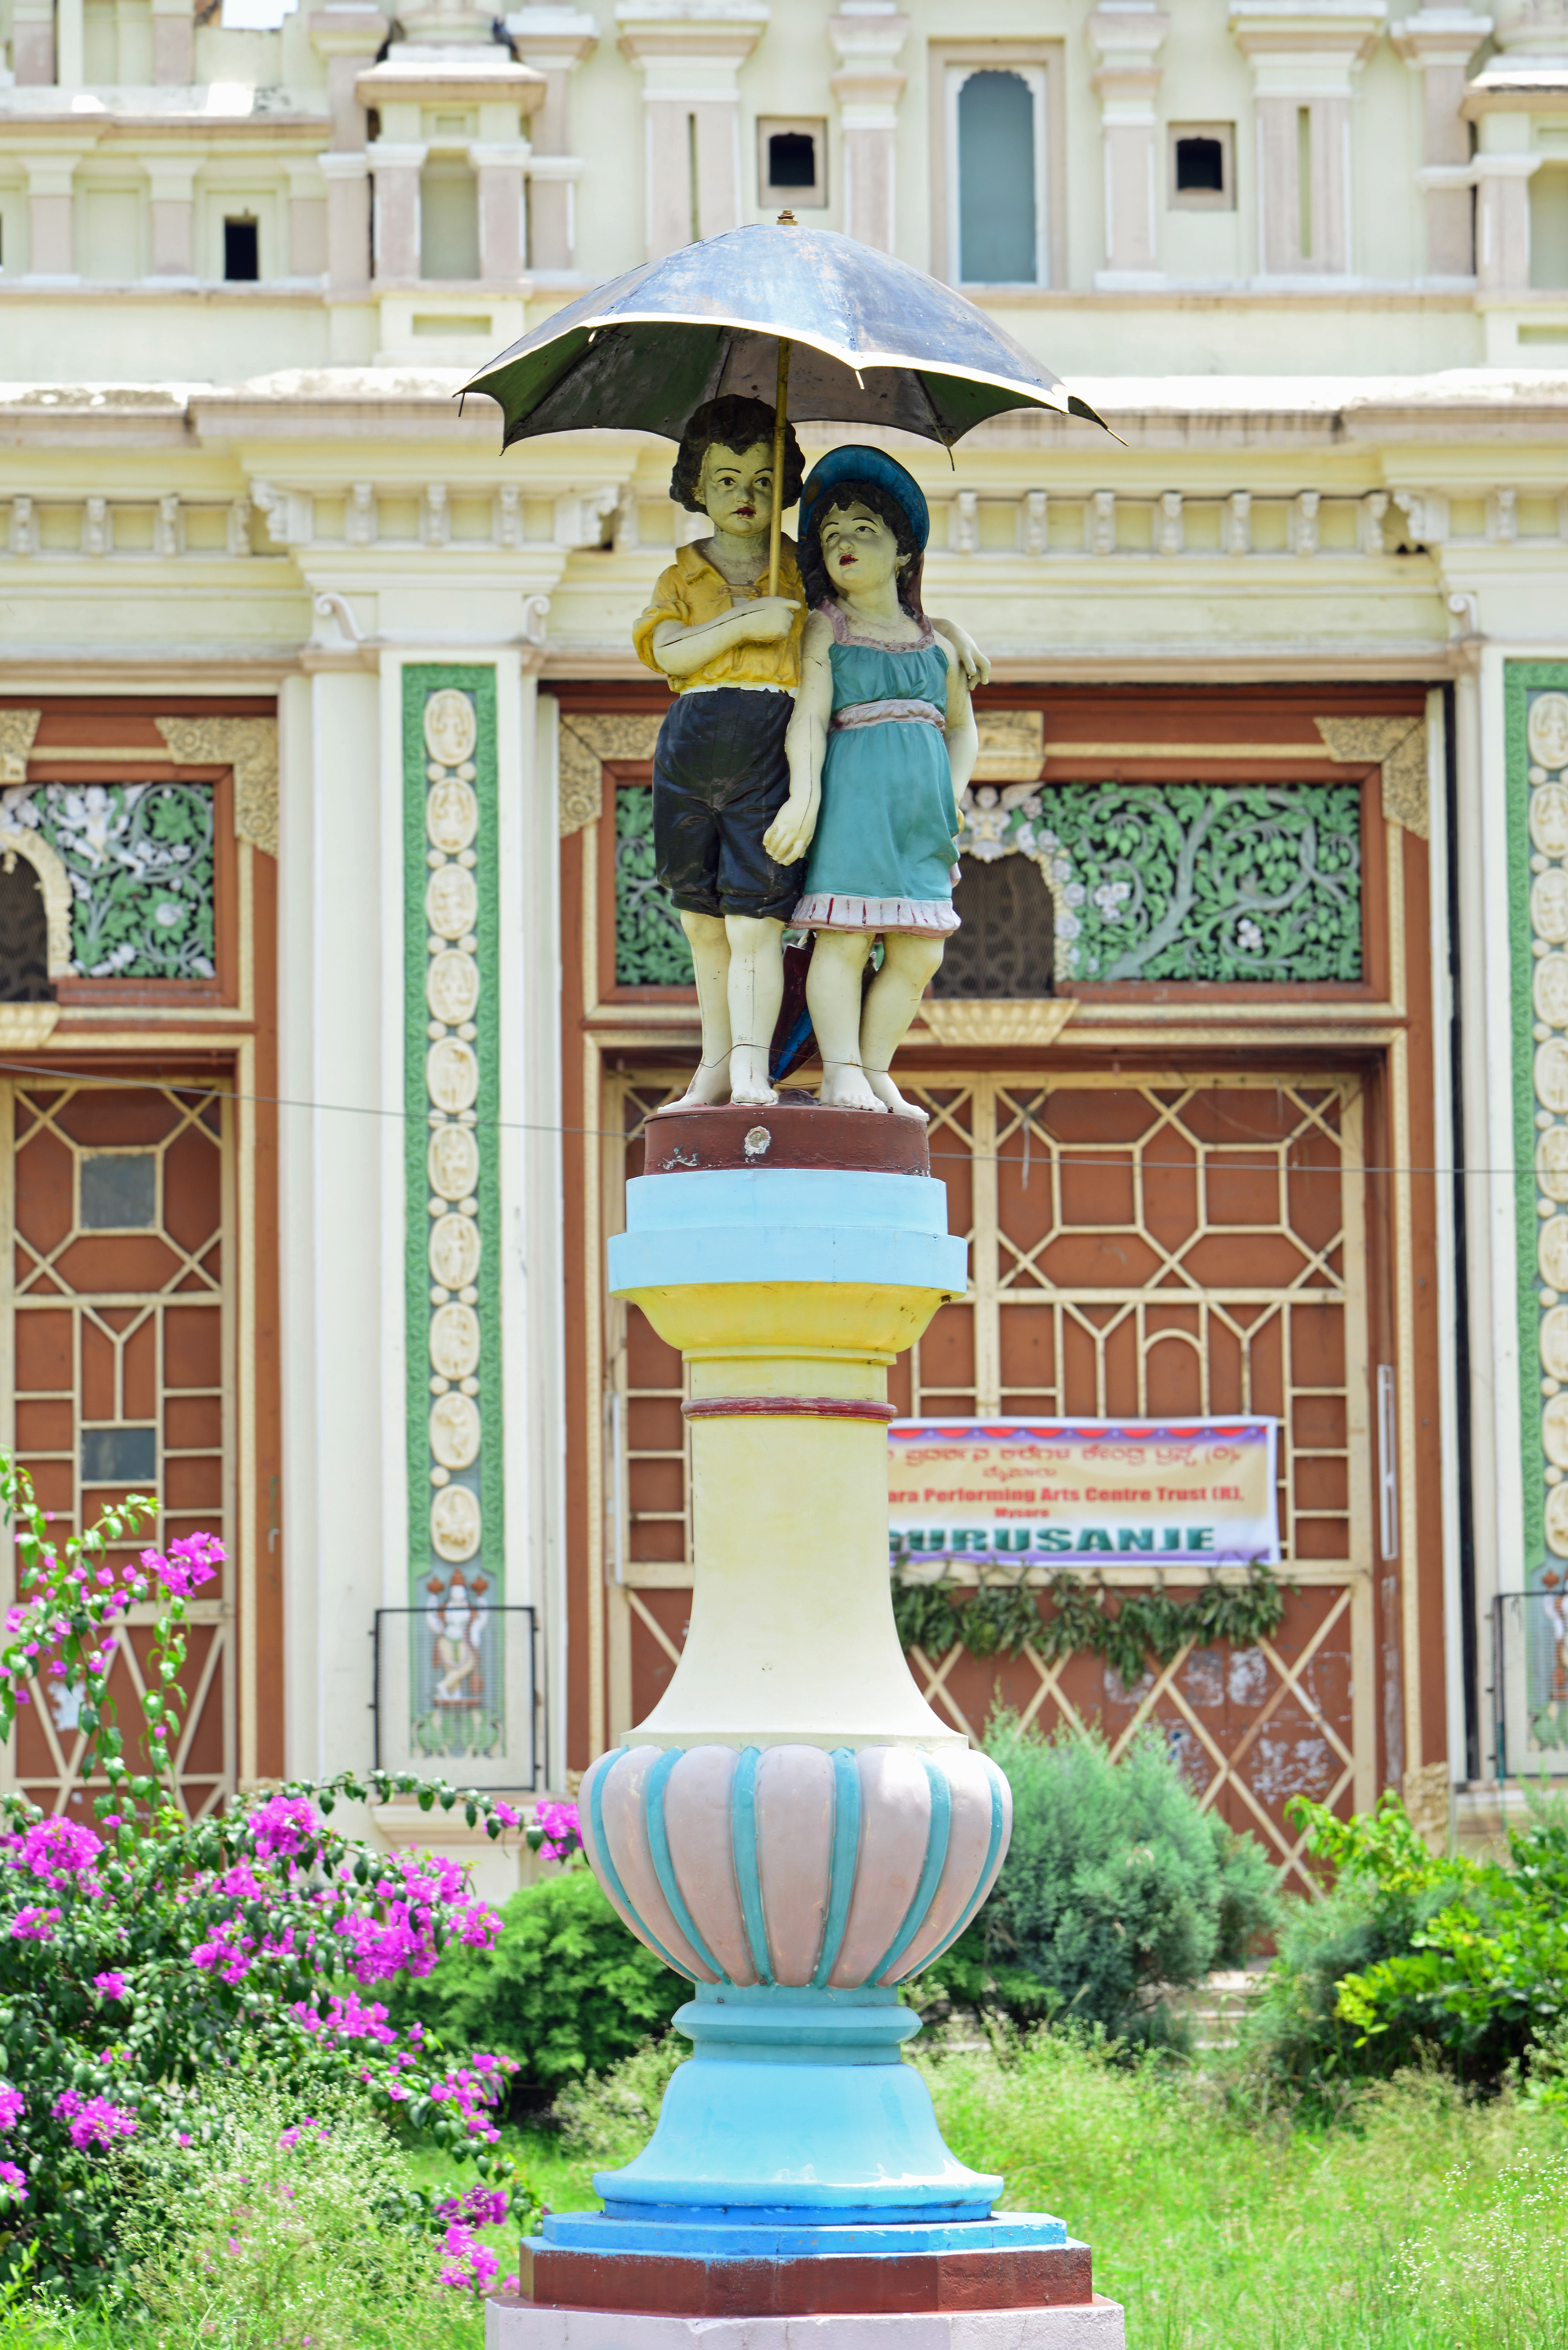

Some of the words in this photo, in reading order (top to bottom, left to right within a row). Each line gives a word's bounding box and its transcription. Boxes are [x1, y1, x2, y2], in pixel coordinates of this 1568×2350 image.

[1199, 1441, 1240, 1469] (o)
[888, 1488, 921, 1505] ara
[921, 1484, 1038, 1505] Performing
[1038, 1486, 1082, 1504] Arts
[1084, 1485, 1152, 1504] Centre
[1156, 1484, 1208, 1503] Trust
[1208, 1484, 1244, 1503] IRI
[992, 1506, 1050, 1520] Mysore
[890, 1525, 1216, 1554] URUSANJE